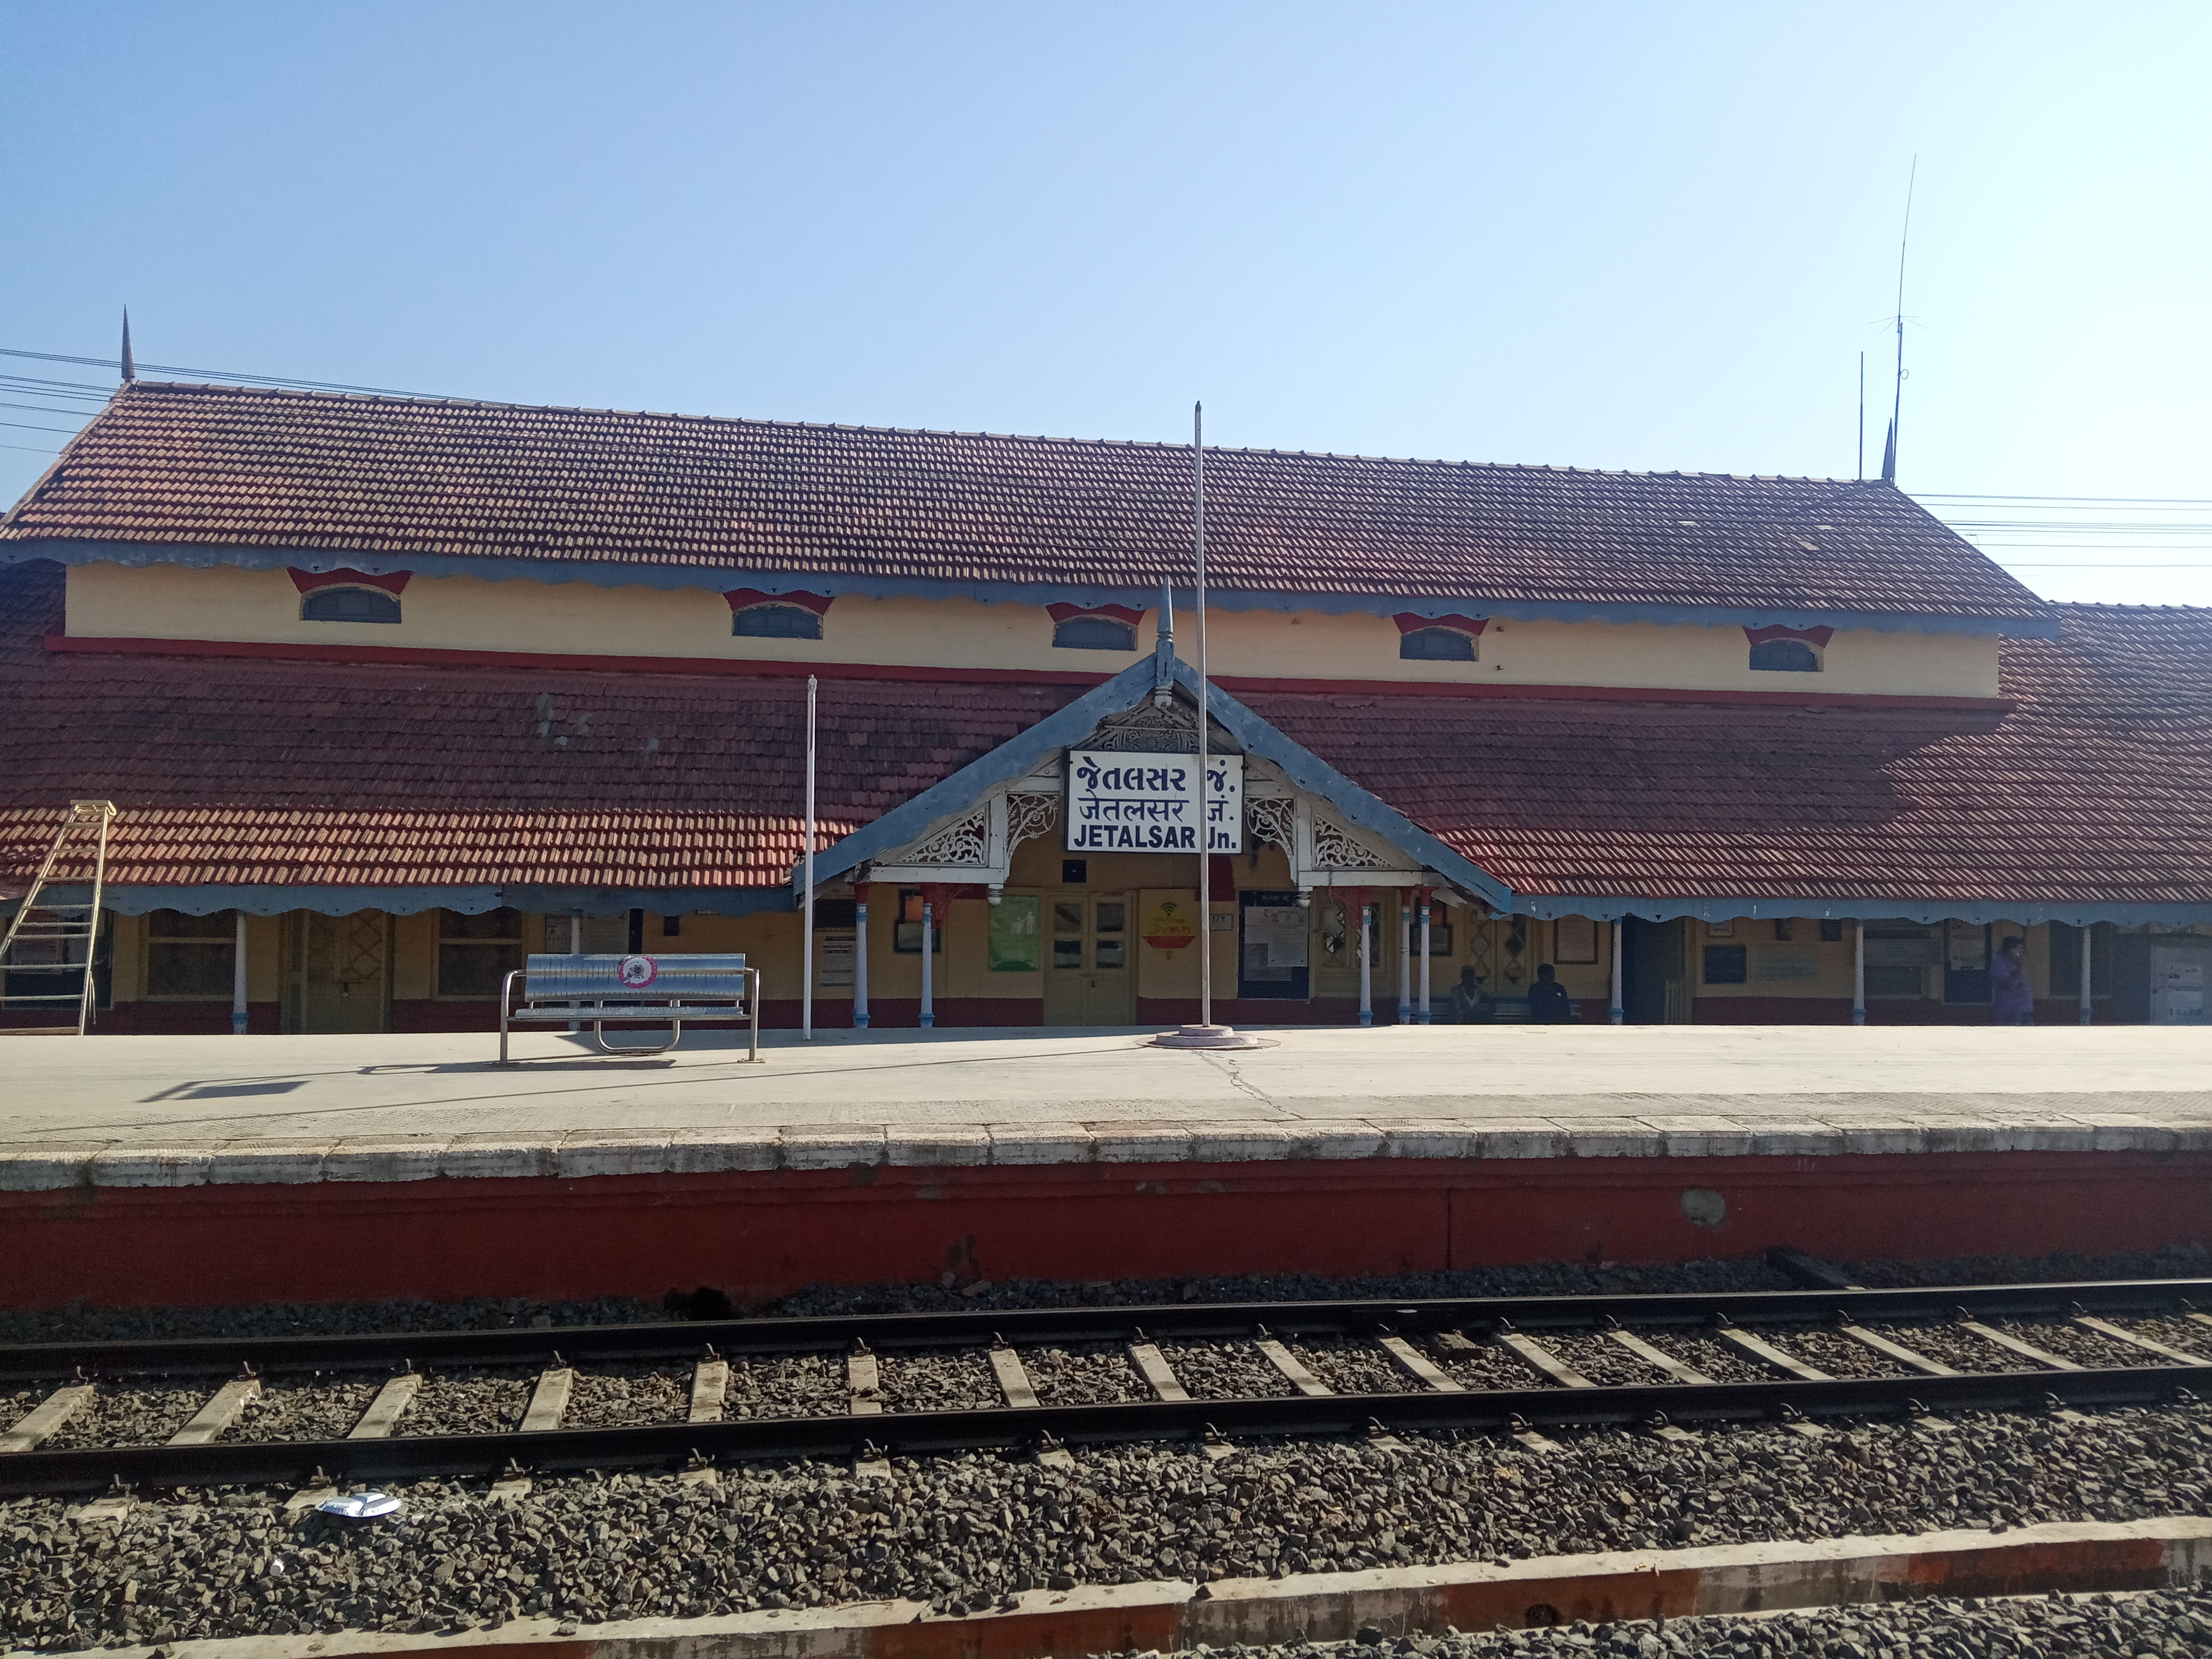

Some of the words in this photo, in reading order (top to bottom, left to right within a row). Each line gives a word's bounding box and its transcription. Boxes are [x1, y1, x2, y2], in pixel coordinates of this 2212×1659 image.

[1073, 752, 1237, 795] જેતલસર જં.
[1070, 787, 1236, 824] जंतलसर जं.
[1070, 824, 1239, 851] JETALSARJn.